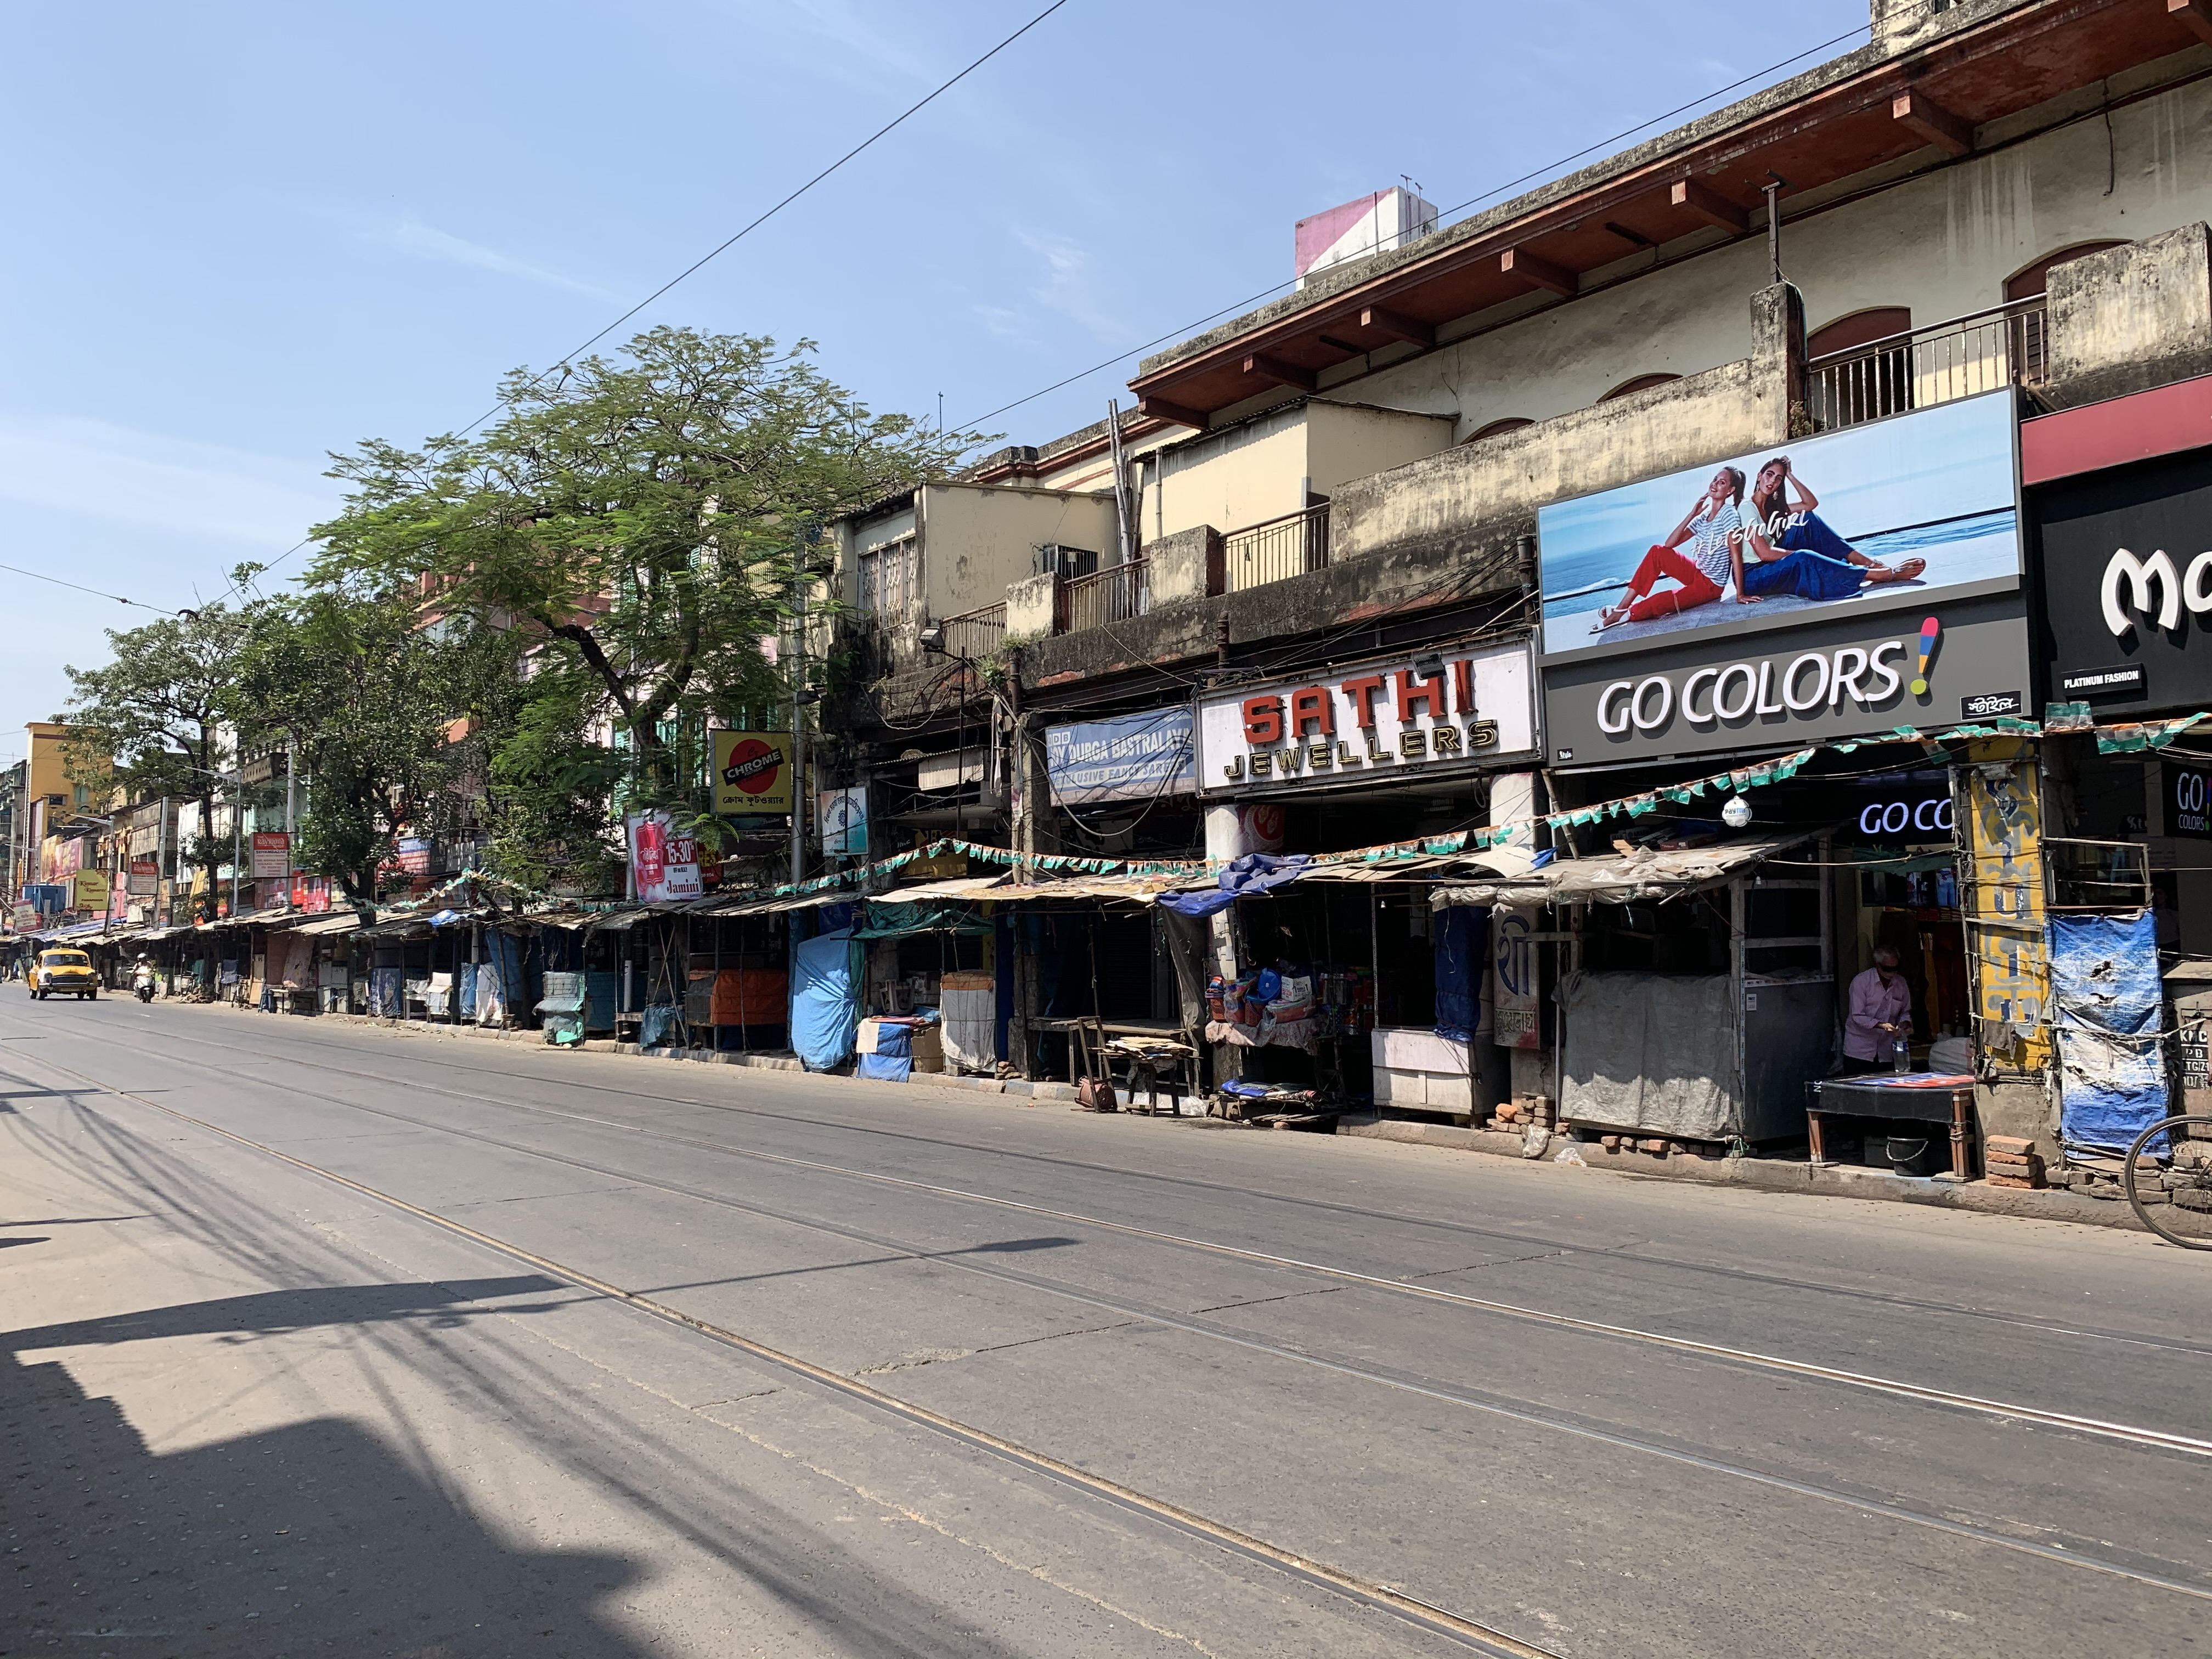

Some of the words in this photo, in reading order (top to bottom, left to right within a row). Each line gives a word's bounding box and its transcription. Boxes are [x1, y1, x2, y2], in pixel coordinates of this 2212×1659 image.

[1673, 634, 1913, 729] COLORS
[2061, 673, 2105, 691] PLATINUM
[2102, 664, 2142, 689] FASHION
[1234, 649, 1489, 755] SATHI
[1594, 654, 1681, 746] GO
[1955, 676, 2019, 720] স্টাইল
[721, 791, 746, 808] ক্রোম
[724, 746, 783, 783] CHROME
[743, 789, 787, 808] ফুটওয়্যার
[1046, 740, 1069, 771] JOY
[1051, 769, 1107, 789] EXCLUSIVE
[1065, 736, 1110, 771] DURGA
[1107, 764, 1142, 783] FANCY
[1108, 724, 1197, 761] BASTRALAYA
[1139, 758, 1187, 777] SAREES
[1214, 714, 1505, 785] JEWELLERS
[2169, 768, 2208, 816] GO
[1841, 790, 1959, 842] GOCO
[2171, 810, 2208, 834] COLORS
[662, 836, 698, 866] 15-30%
[665, 875, 702, 897] Jamini